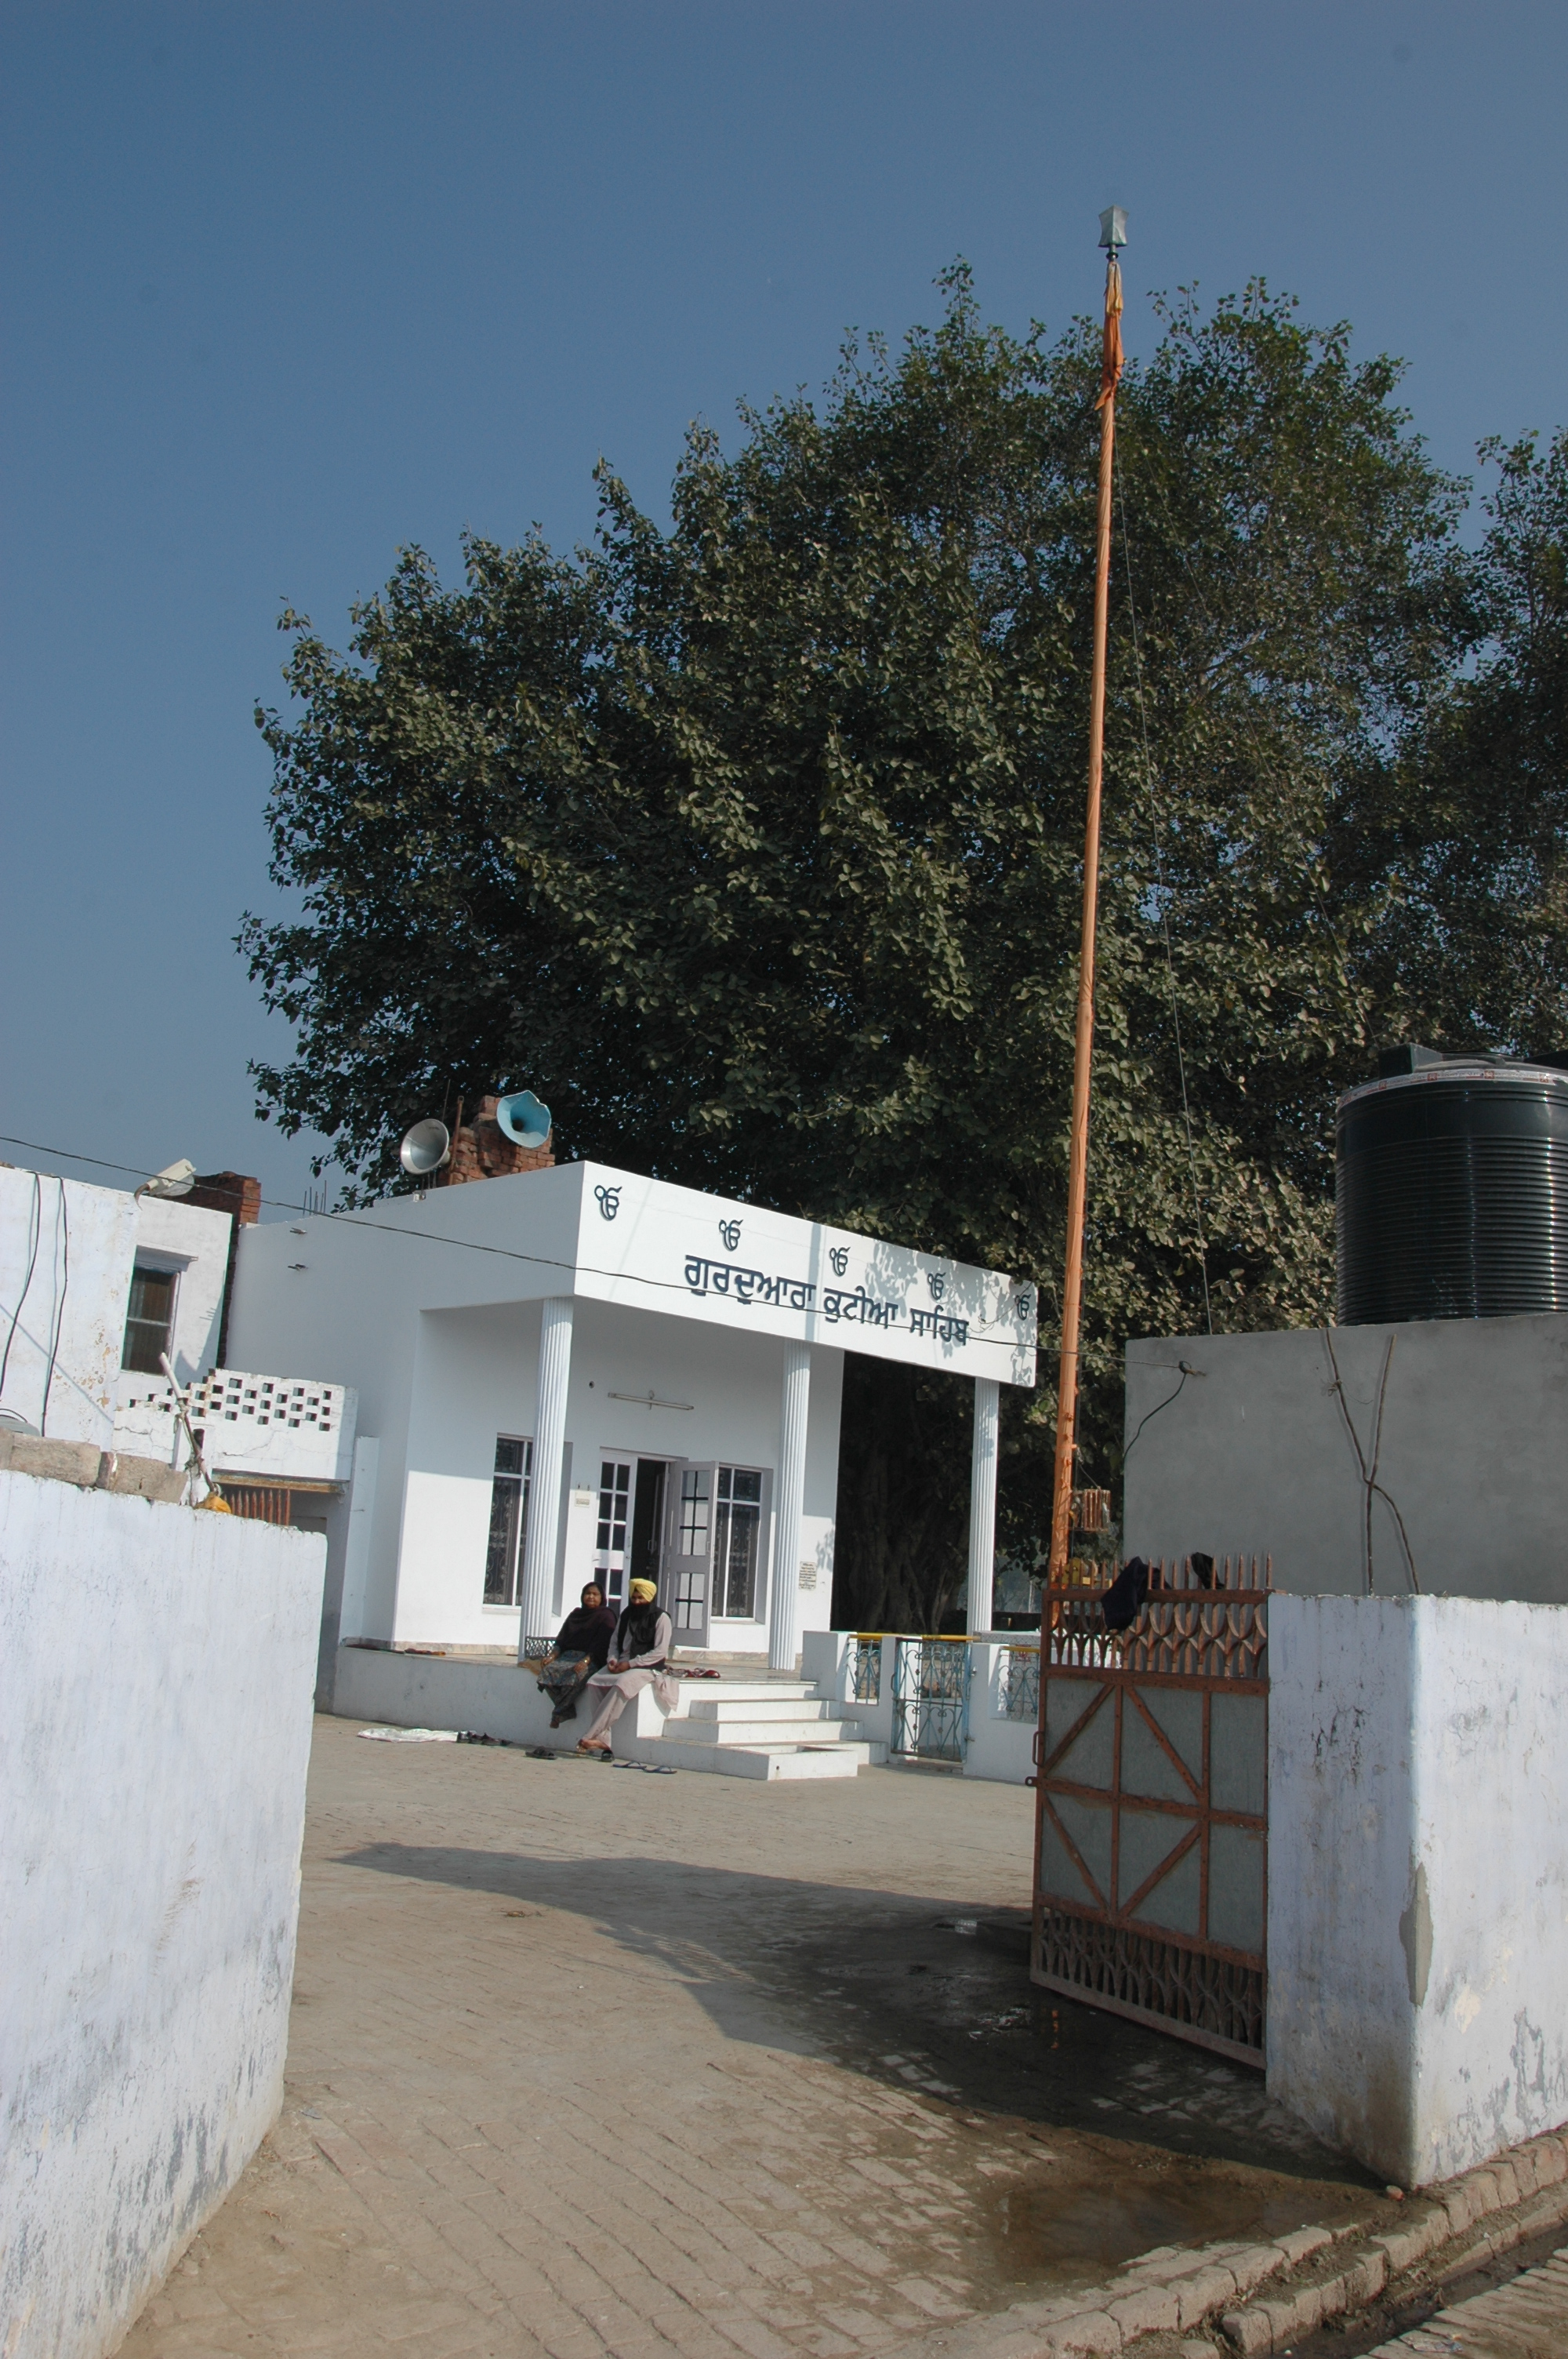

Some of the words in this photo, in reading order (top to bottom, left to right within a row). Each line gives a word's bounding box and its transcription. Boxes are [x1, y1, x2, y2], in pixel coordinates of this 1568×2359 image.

[670, 1249, 821, 1314] ਗੁਰਦੁਆਰਾ
[814, 1279, 905, 1332] ਕੁਟੀਆ
[907, 1299, 974, 1350] ਸਾਹਿਬ